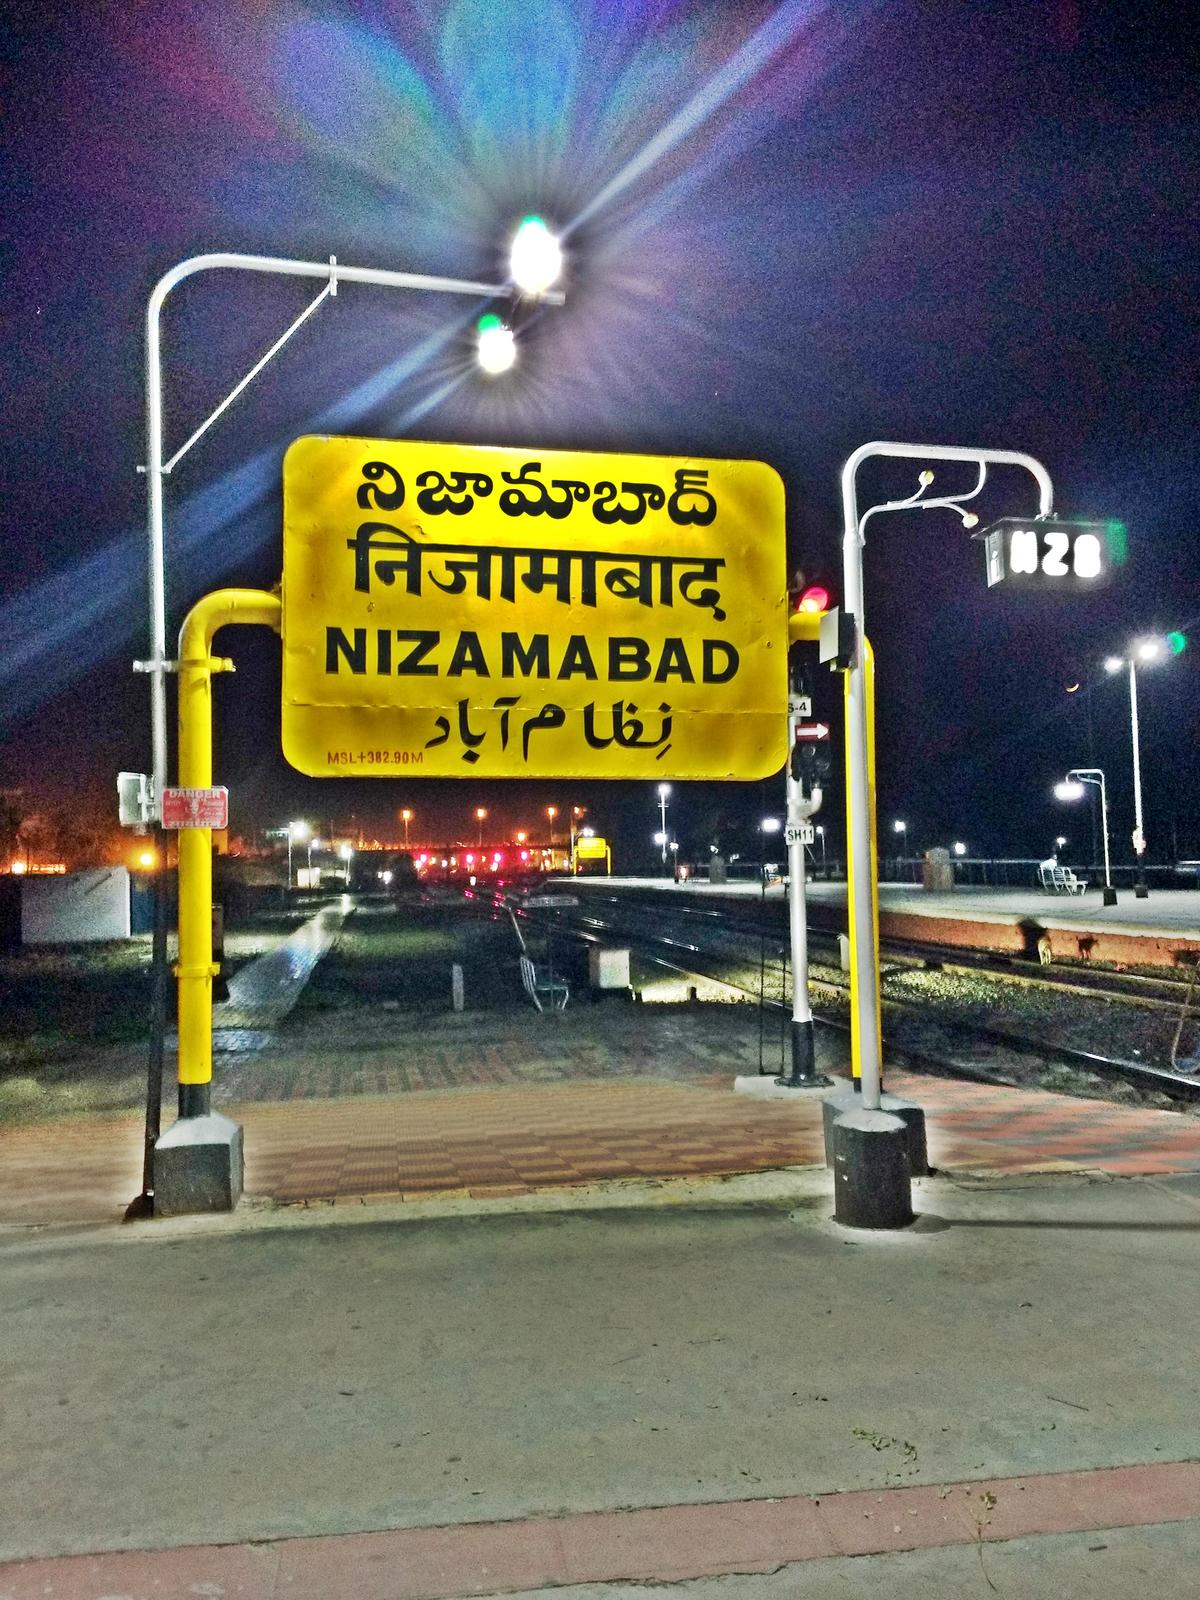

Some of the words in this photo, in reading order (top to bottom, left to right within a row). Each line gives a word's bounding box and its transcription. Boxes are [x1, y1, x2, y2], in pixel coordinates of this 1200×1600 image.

[353, 451, 729, 534] నిజామాబాద్
[345, 510, 730, 626] निजामाबाद
[317, 620, 750, 690] NIZAMABAD
[323, 743, 429, 772] MSL+382.90M
[421, 691, 678, 766] نظام آباد,